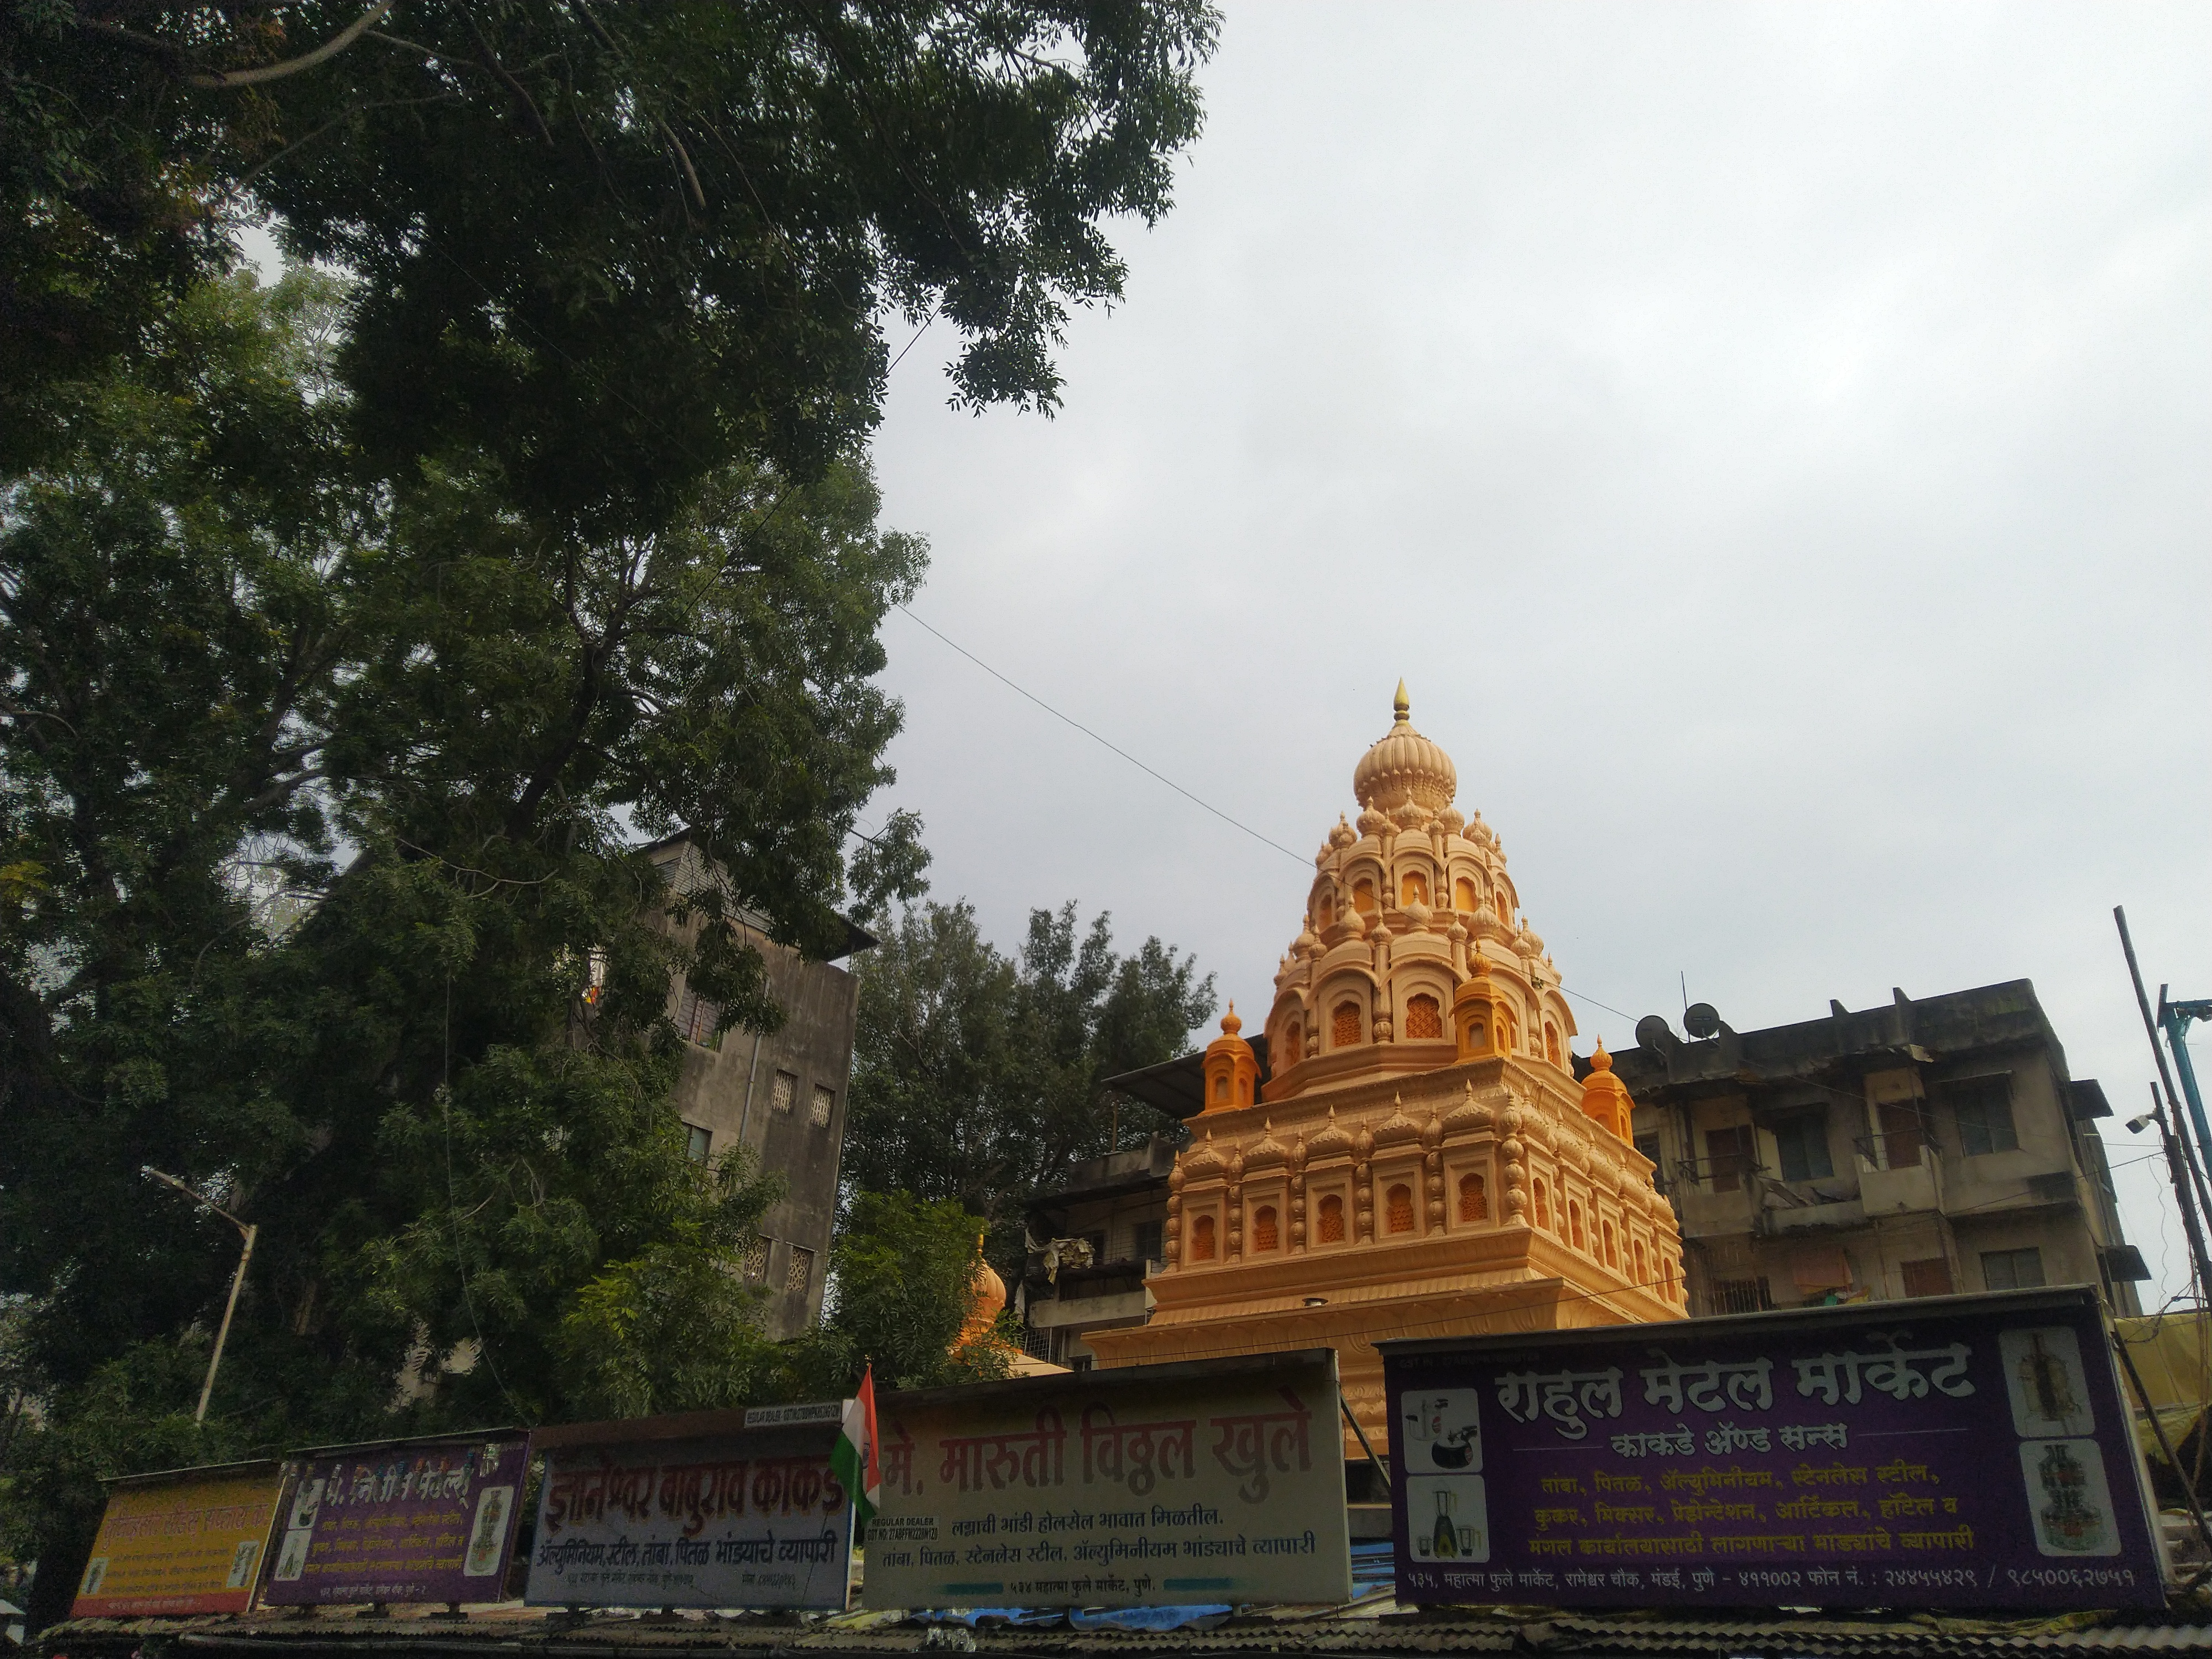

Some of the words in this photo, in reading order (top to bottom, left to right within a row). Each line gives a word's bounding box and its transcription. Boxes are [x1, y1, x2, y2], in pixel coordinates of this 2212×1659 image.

[1632, 1342, 1776, 1417] मेटल
[1787, 1324, 1981, 1412] मार्केट
[1491, 1360, 1628, 1442] राहुल
[542, 1447, 661, 1540] ज्ञानेश्वर
[655, 1454, 752, 1540] बाबुराव
[752, 1435, 849, 1519] काकडे
[870, 1514, 906, 1529] REGULAR
[882, 1415, 928, 1501] मे.
[905, 1514, 937, 1528] DEALER
[951, 1508, 999, 1538] लग्नाची
[936, 1399, 1072, 1495] मारुती
[999, 1508, 1036, 1536] भांडी
[1036, 1506, 1097, 1538] होलसेल
[1095, 1508, 1148, 1531] भावात
[1071, 1397, 1199, 1501] विठ्ठल
[1149, 1499, 1222, 1533] मिळतील
[1206, 1383, 1319, 1507] खुले
[1527, 1506, 1587, 1535] कुकर,
[1541, 1472, 1577, 1497] तांबा
[1588, 1468, 1648, 1499] पितळ
[1579, 1501, 1657, 1531] मिक्सर
[1609, 1420, 1698, 1463] काकडे
[1665, 1495, 1757, 1525] प्रेझेन्टेशन
[1658, 1460, 1776, 1499] ॲल्युमिनीयम
[1697, 1418, 1775, 1456] ॲण्ड
[1777, 1418, 1851, 1449] सन्स
[1775, 1492, 1864, 1521] आर्टिकल
[1788, 1458, 1869, 1488] स्टेनलेस
[1875, 1450, 1931, 1488] स्‍टील
[1873, 1486, 1943, 1525] हॉटेल
[1932, 1488, 1969, 1526] व
[533, 1534, 611, 1580] अल्युमिनियम
[607, 1531, 645, 1571] स्‍टील,
[638, 1529, 675, 1570] तांबा
[673, 1532, 714, 1568] पितळ
[714, 1523, 777, 1567] भांड्याचे
[775, 1524, 842, 1567] व्यापारी
[881, 1545, 914, 1572] तांबा
[915, 1541, 963, 1568] पितळ.
[964, 1538, 1022, 1568] स्टेनलेस
[1010, 1577, 1035, 1597] ५३४
[1024, 1535, 1066, 1564] स्टील
[1034, 1578, 1070, 1596] महात्मा
[1069, 1570, 1094, 1600] फुले
[1092, 1571, 1128, 1596] मार्केट
[1070, 1535, 1180, 1569] ॲल्युमिनीयम
[1131, 1571, 1156, 1602] पुणे.
[1182, 1533, 1246, 1564] भांड्याचे
[1253, 1528, 1316, 1560] व्यापारी
[1406, 1566, 1444, 1591] ५३५,
[1443, 1564, 1487, 1592] महात्मा
[1488, 1564, 1516, 1597] फुले
[1515, 1563, 1558, 1590] मार्केट
[1527, 1530, 1577, 1558] मंगल
[1563, 1565, 1609, 1589] रामेश्वर
[1608, 1565, 1645, 1591] चौक,
[1572, 1528, 1704, 1560] कार्यालयासाठी
[1646, 1566, 1685, 1591] मंडई
[1688, 1563, 1716, 1594] पुणे
[1709, 1532, 1808, 1557] लागणाऱ्या
[1732, 1566, 1804, 1591] ४११00२
[1806, 1559, 1842, 1589] फोन
[1810, 1525, 1898, 1559] भांड्याचे
[1839, 1561, 1870, 1588] नं.
[1877, 1562, 1976, 1592] २४४५५४२९
[1895, 1521, 1976, 1558] व्यापारी
[2004, 1566, 2138, 1589] ९८५००६२७५१